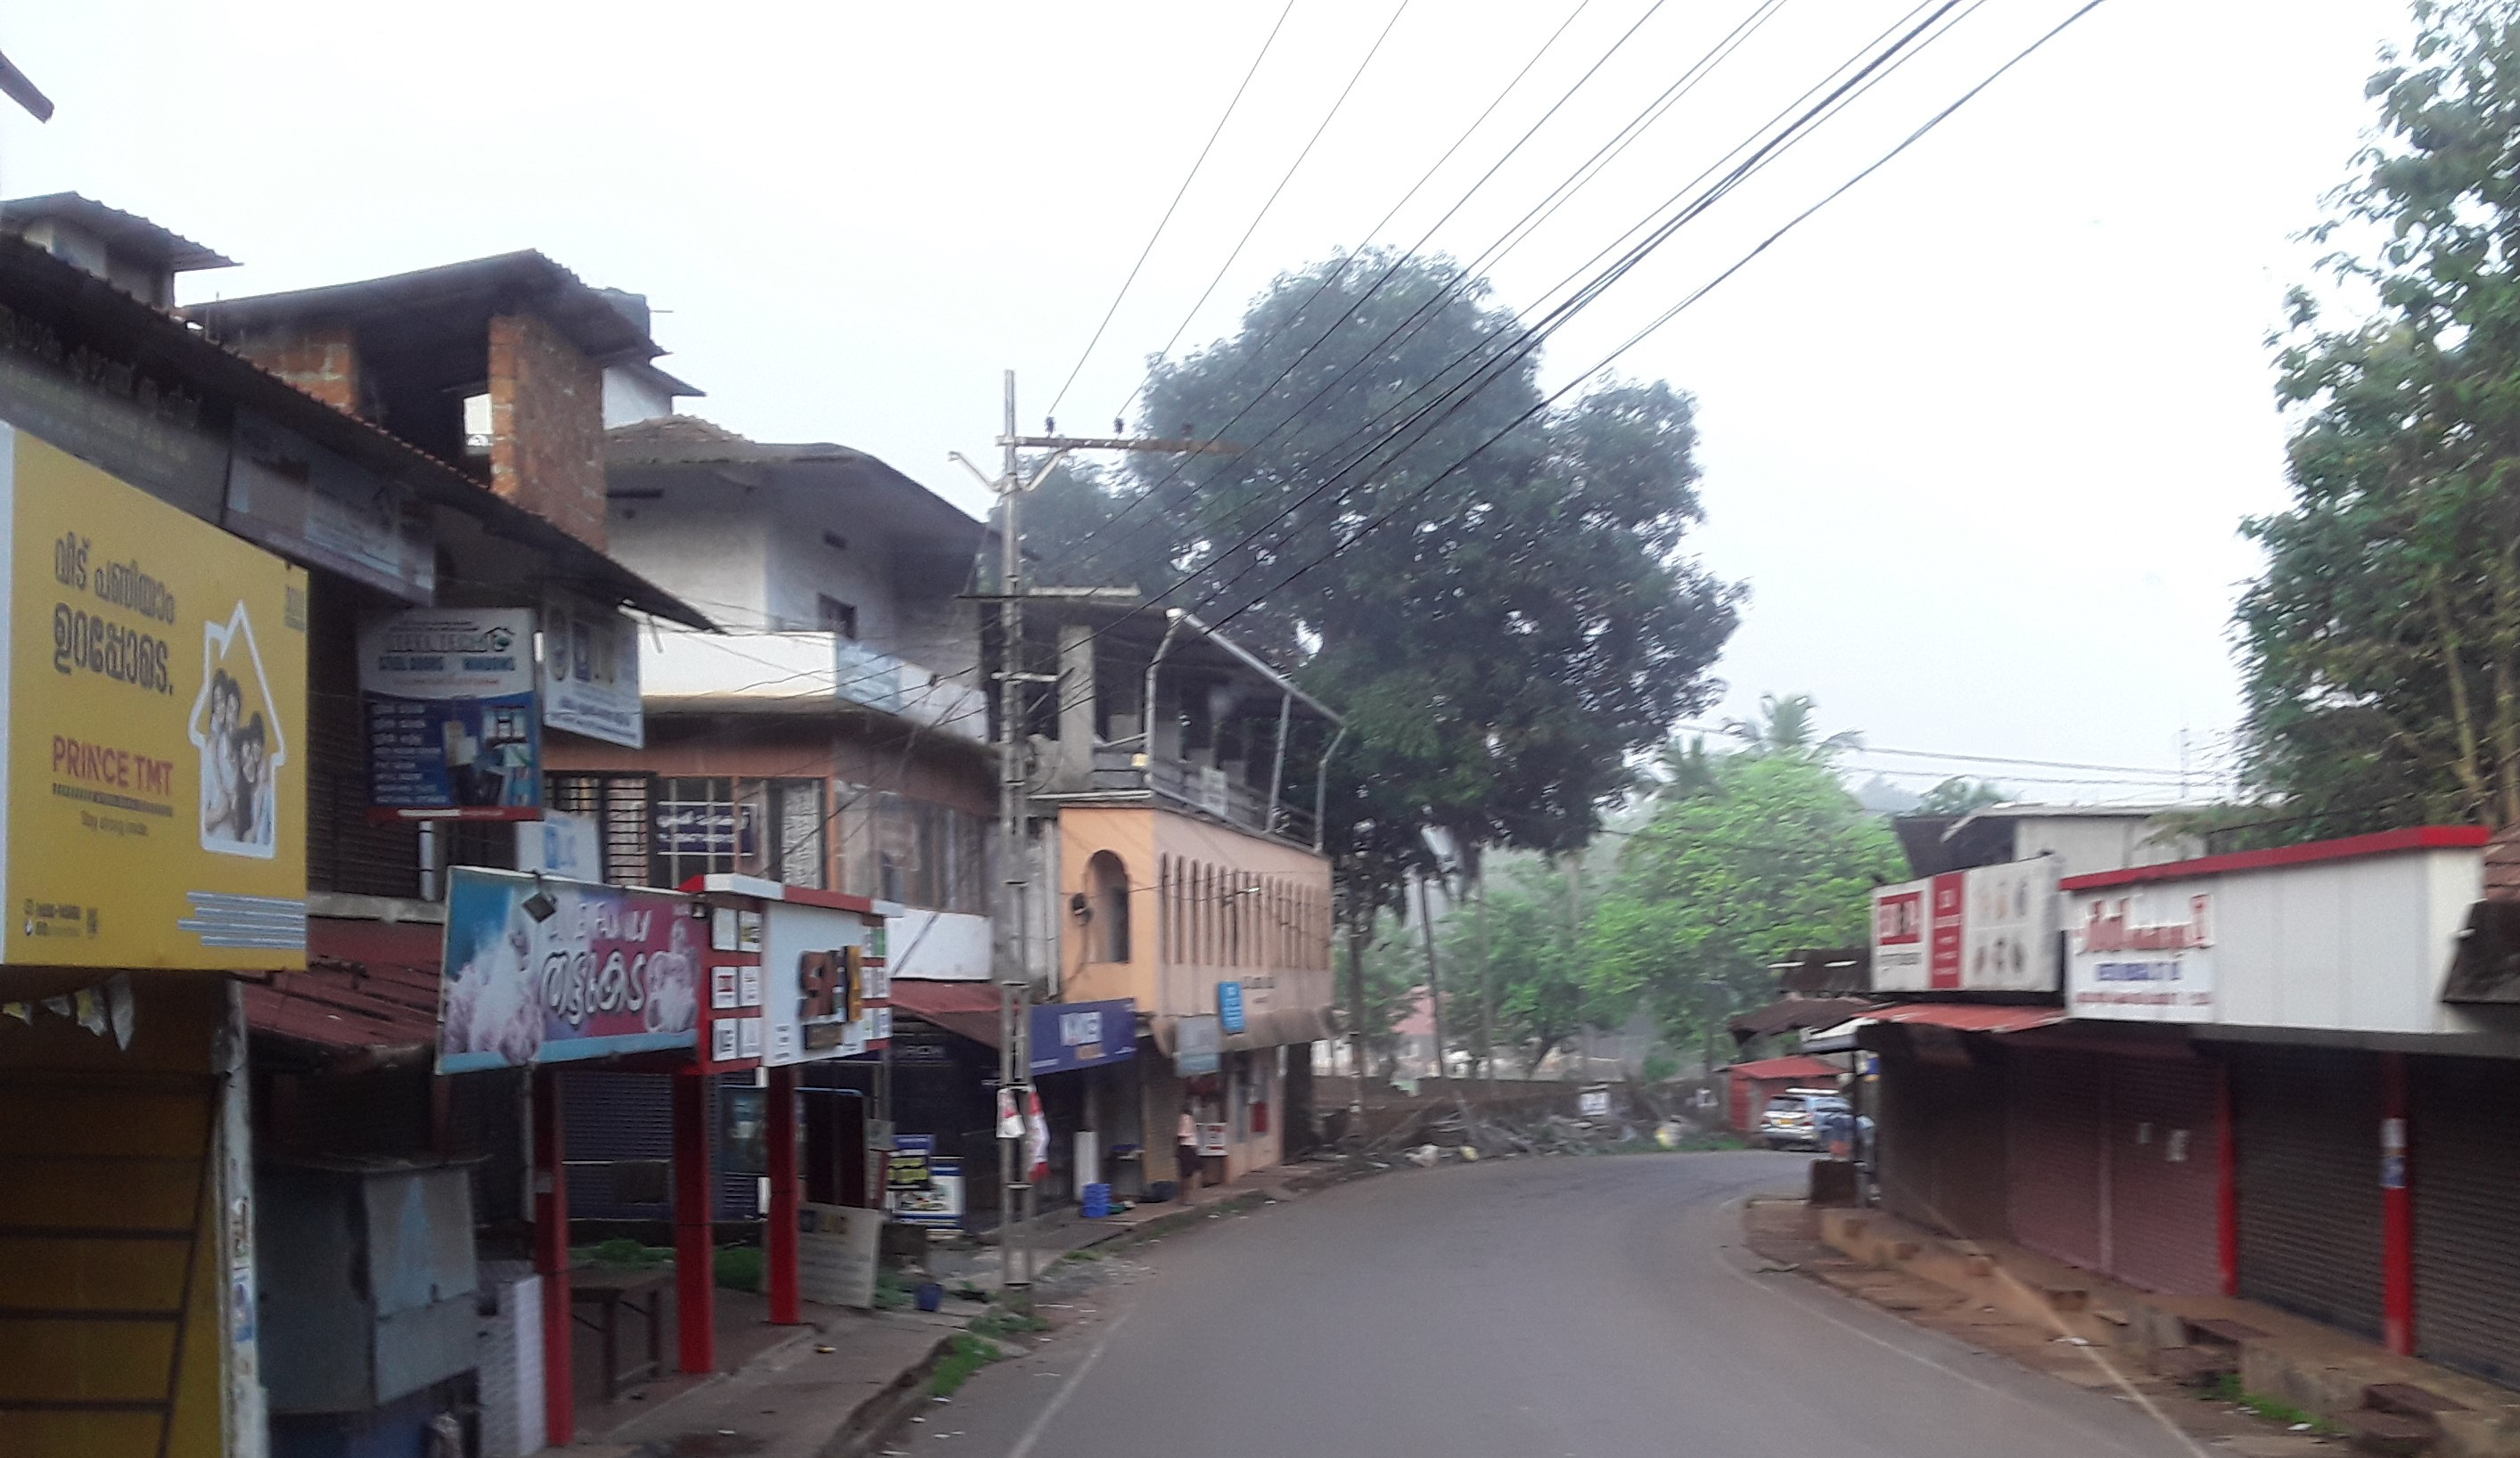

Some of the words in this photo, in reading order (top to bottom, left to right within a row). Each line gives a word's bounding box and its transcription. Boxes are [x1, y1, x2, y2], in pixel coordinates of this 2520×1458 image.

[46, 523, 97, 600] വിട്
[86, 553, 180, 633] പണിയാം
[45, 596, 176, 701] ഉറപ്പോടെ
[45, 728, 133, 792] PRINCE
[131, 749, 177, 799] TMT
[529, 947, 650, 1031] ആകട